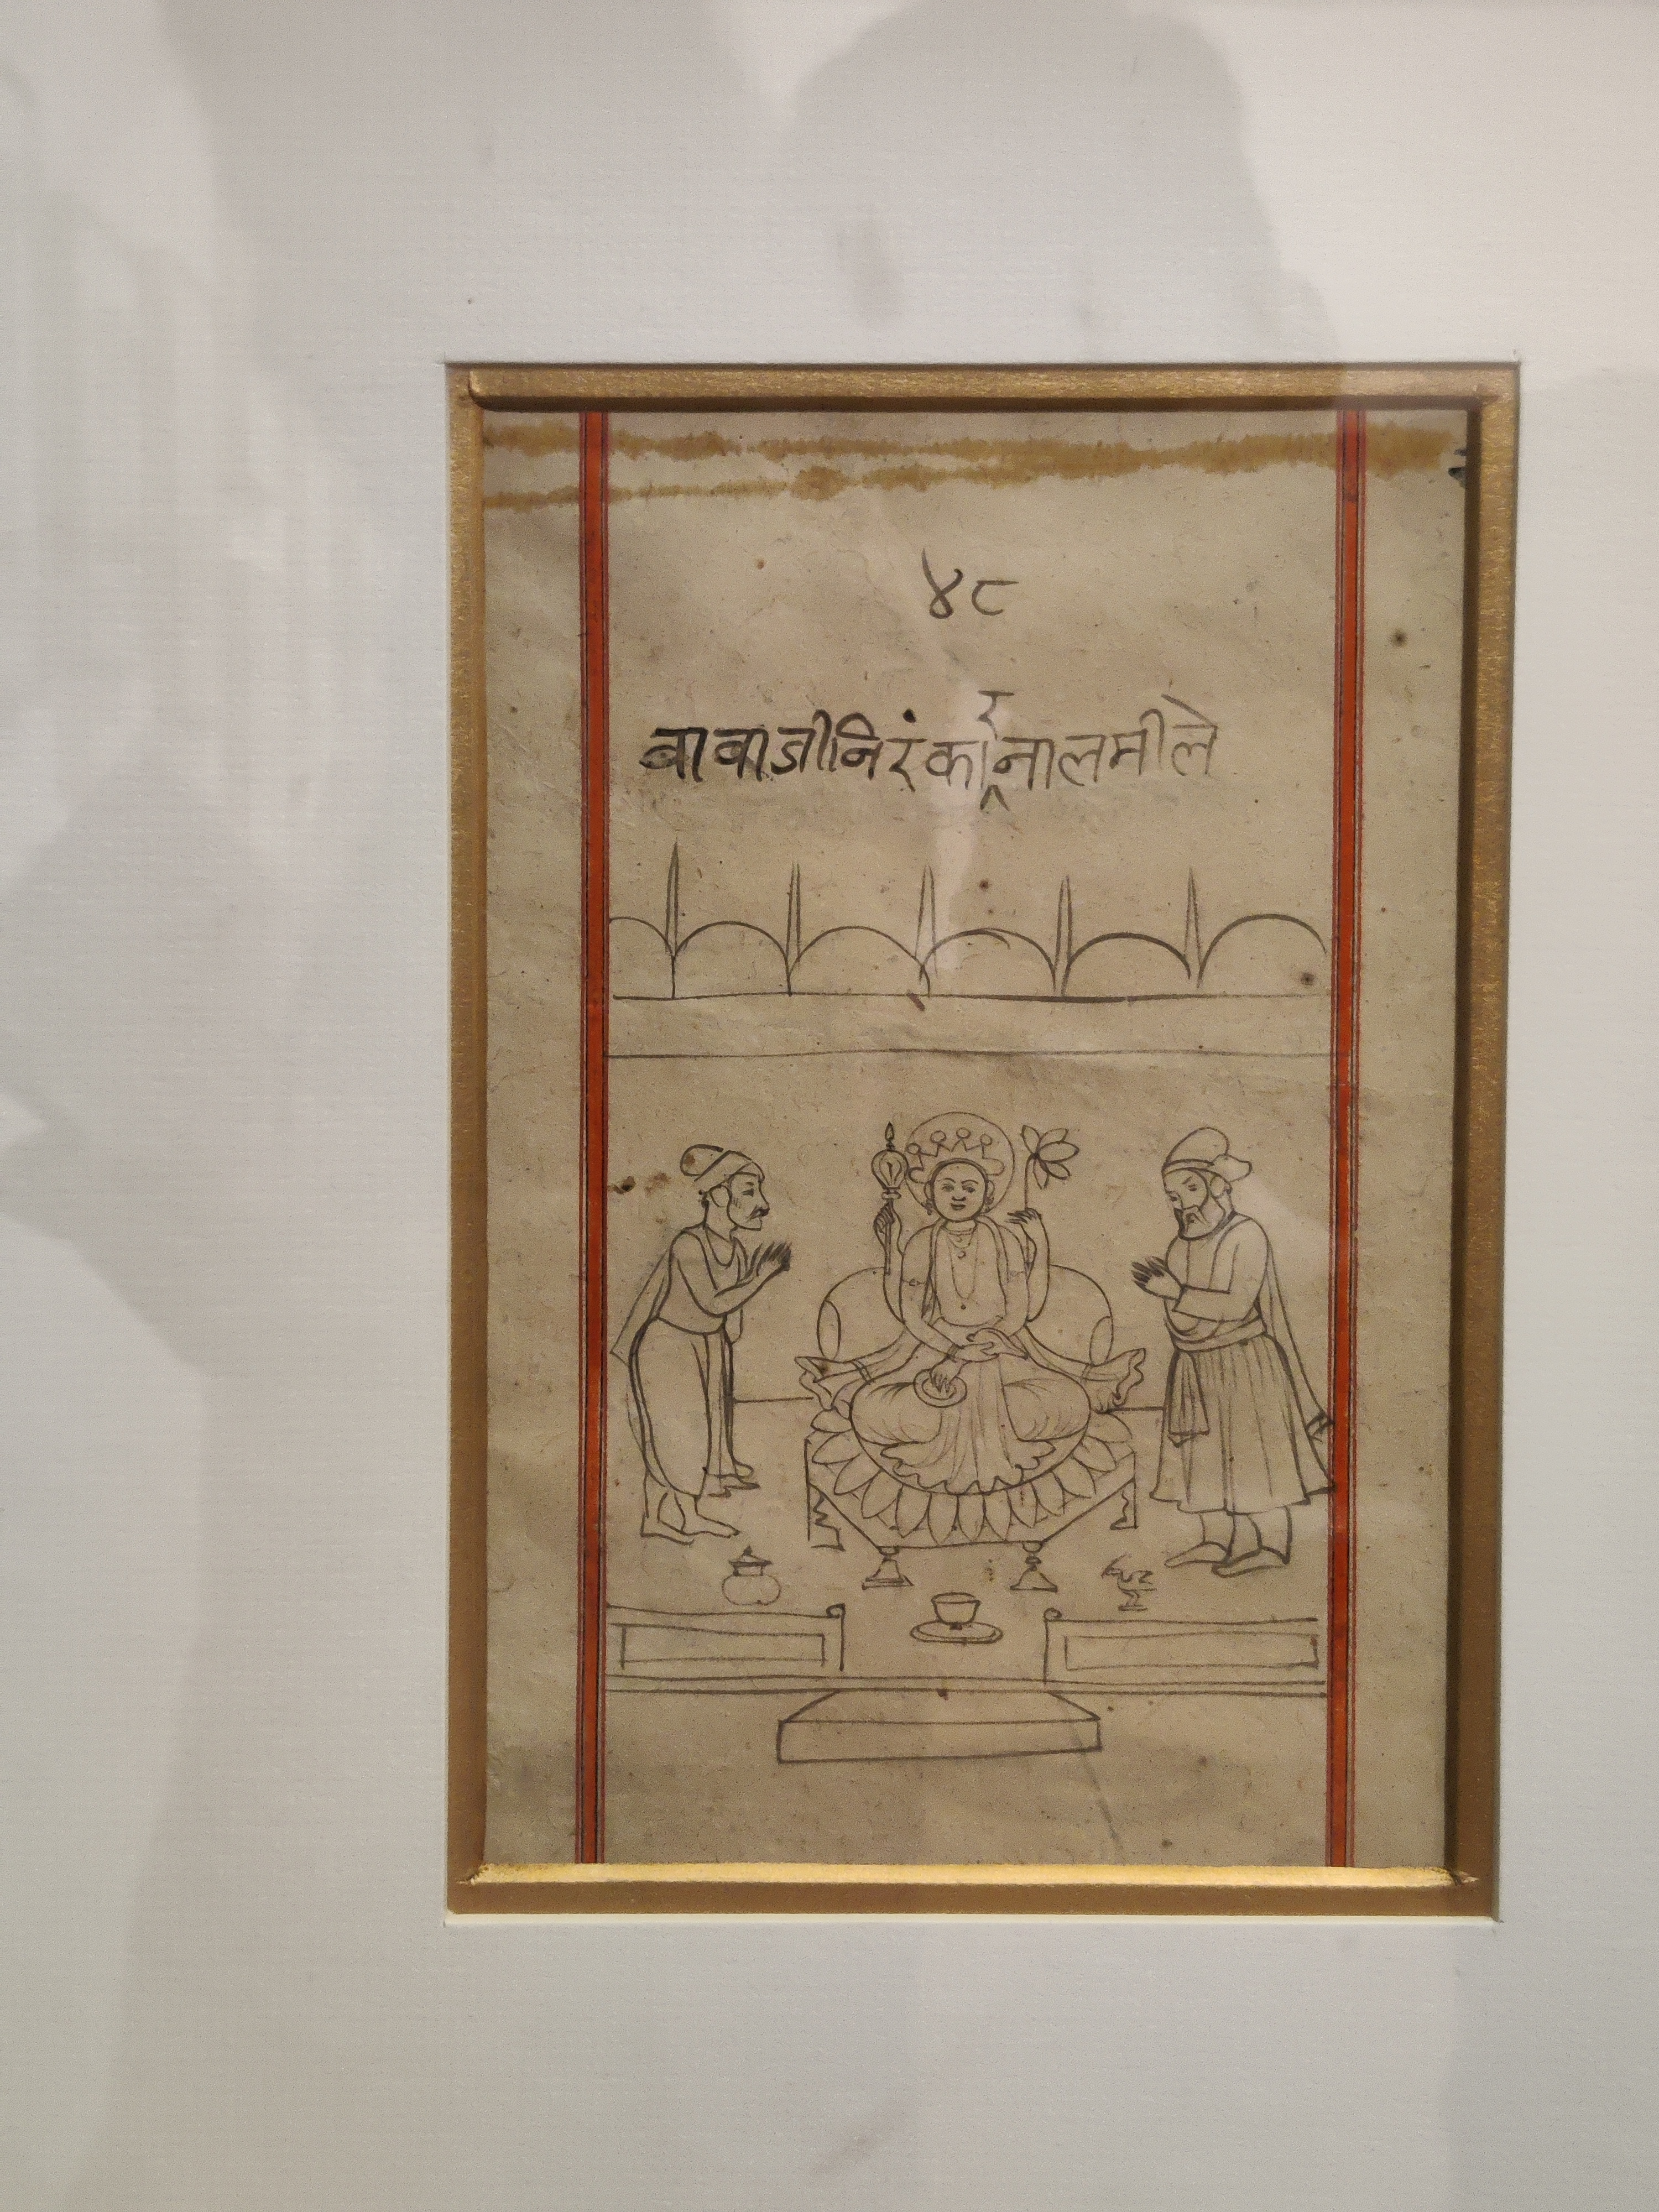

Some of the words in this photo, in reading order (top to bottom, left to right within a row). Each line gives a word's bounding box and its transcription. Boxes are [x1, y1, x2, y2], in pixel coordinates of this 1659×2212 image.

[919, 546, 1019, 623] ४८
[639, 689, 1220, 811] बाबाजीनिर का नालमील